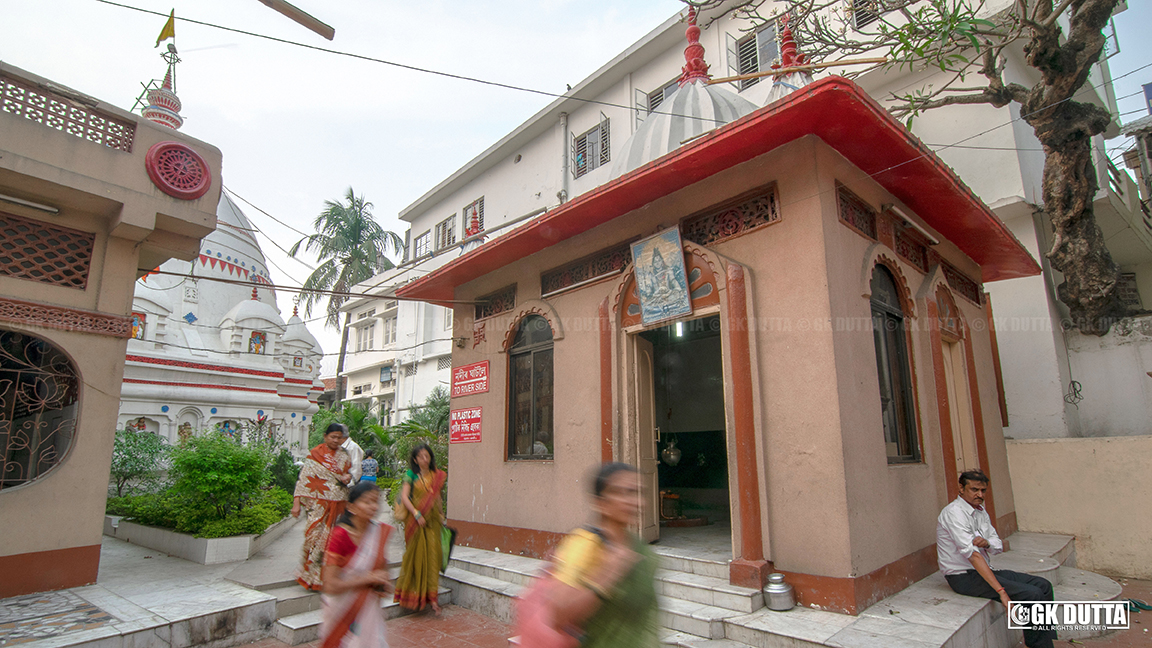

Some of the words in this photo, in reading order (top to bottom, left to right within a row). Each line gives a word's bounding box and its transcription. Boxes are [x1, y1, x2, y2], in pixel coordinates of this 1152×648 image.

[445, 382, 465, 403] TO R
[453, 377, 479, 397] RIVERS
[1023, 595, 1063, 631] GK
[1057, 597, 1134, 629] DUTTA